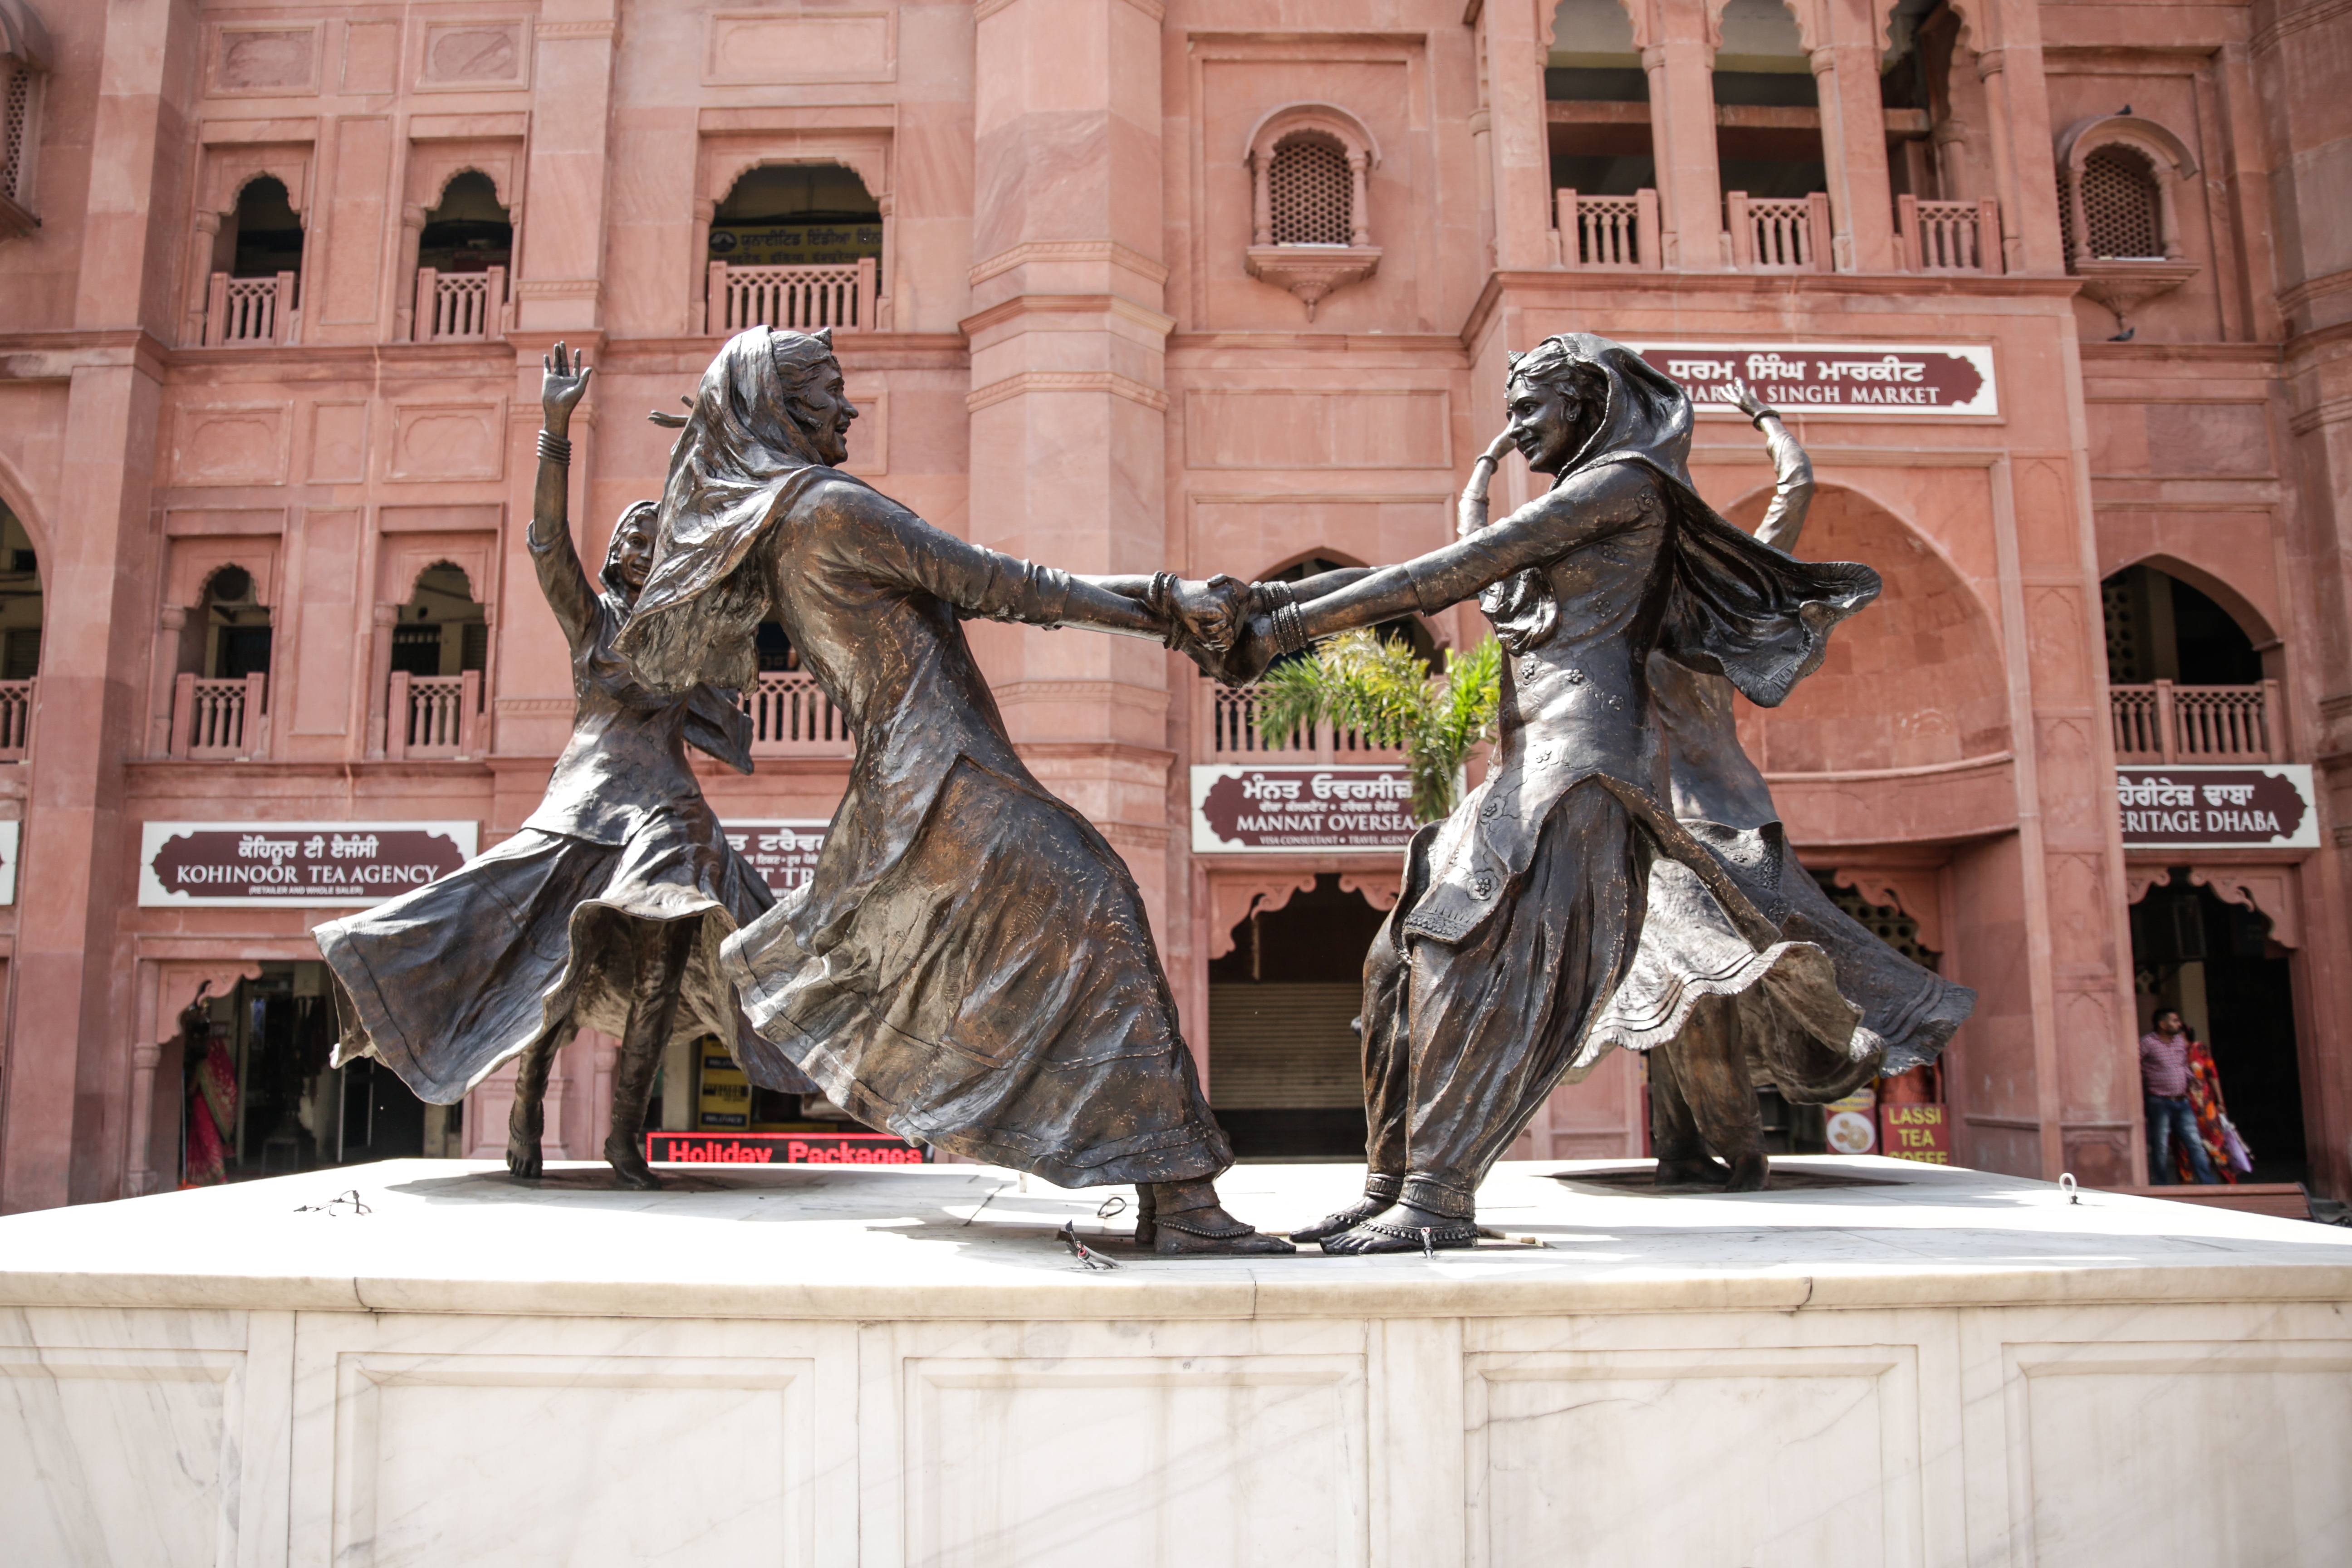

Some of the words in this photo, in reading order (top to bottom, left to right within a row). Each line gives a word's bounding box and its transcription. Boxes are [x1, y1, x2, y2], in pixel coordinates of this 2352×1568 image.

[738, 225, 804, 251] ਯੂਨਾਈਟਿਡ
[802, 225, 852, 250] ਇੰਡੀਆ
[1661, 353, 1741, 382] ਧਰਮ
[1741, 351, 1811, 383] ਸਿੰਘ
[1810, 353, 1932, 383] ਮਾਰਕੀਟ
[1763, 383, 1845, 404] SINGH
[1845, 384, 1942, 407] MARKET
[1230, 771, 1306, 802] ਮੰਨਤ
[1308, 772, 1418, 803] ਓਵਰਸੀਜ਼
[2116, 774, 2199, 807] ਹੈਰੀਟੇਜ਼
[2200, 781, 2261, 808] ਢਾਬਾ
[1233, 812, 1328, 834] MANNAT
[1323, 813, 1430, 833] OVERSEA
[2124, 807, 2205, 836] RITAGE
[2202, 807, 2285, 835] DHABA
[232, 832, 302, 865] ਕੋਹਿਨੂਰ
[299, 831, 327, 860] टी
[324, 832, 384, 861] ਏਜੰਸੀ
[170, 857, 301, 885] KOHINOOR
[301, 859, 348, 885] TEA
[347, 861, 442, 886] AGENCY
[1883, 1105, 1945, 1127] LASSI
[1895, 1127, 1941, 1149] TEA